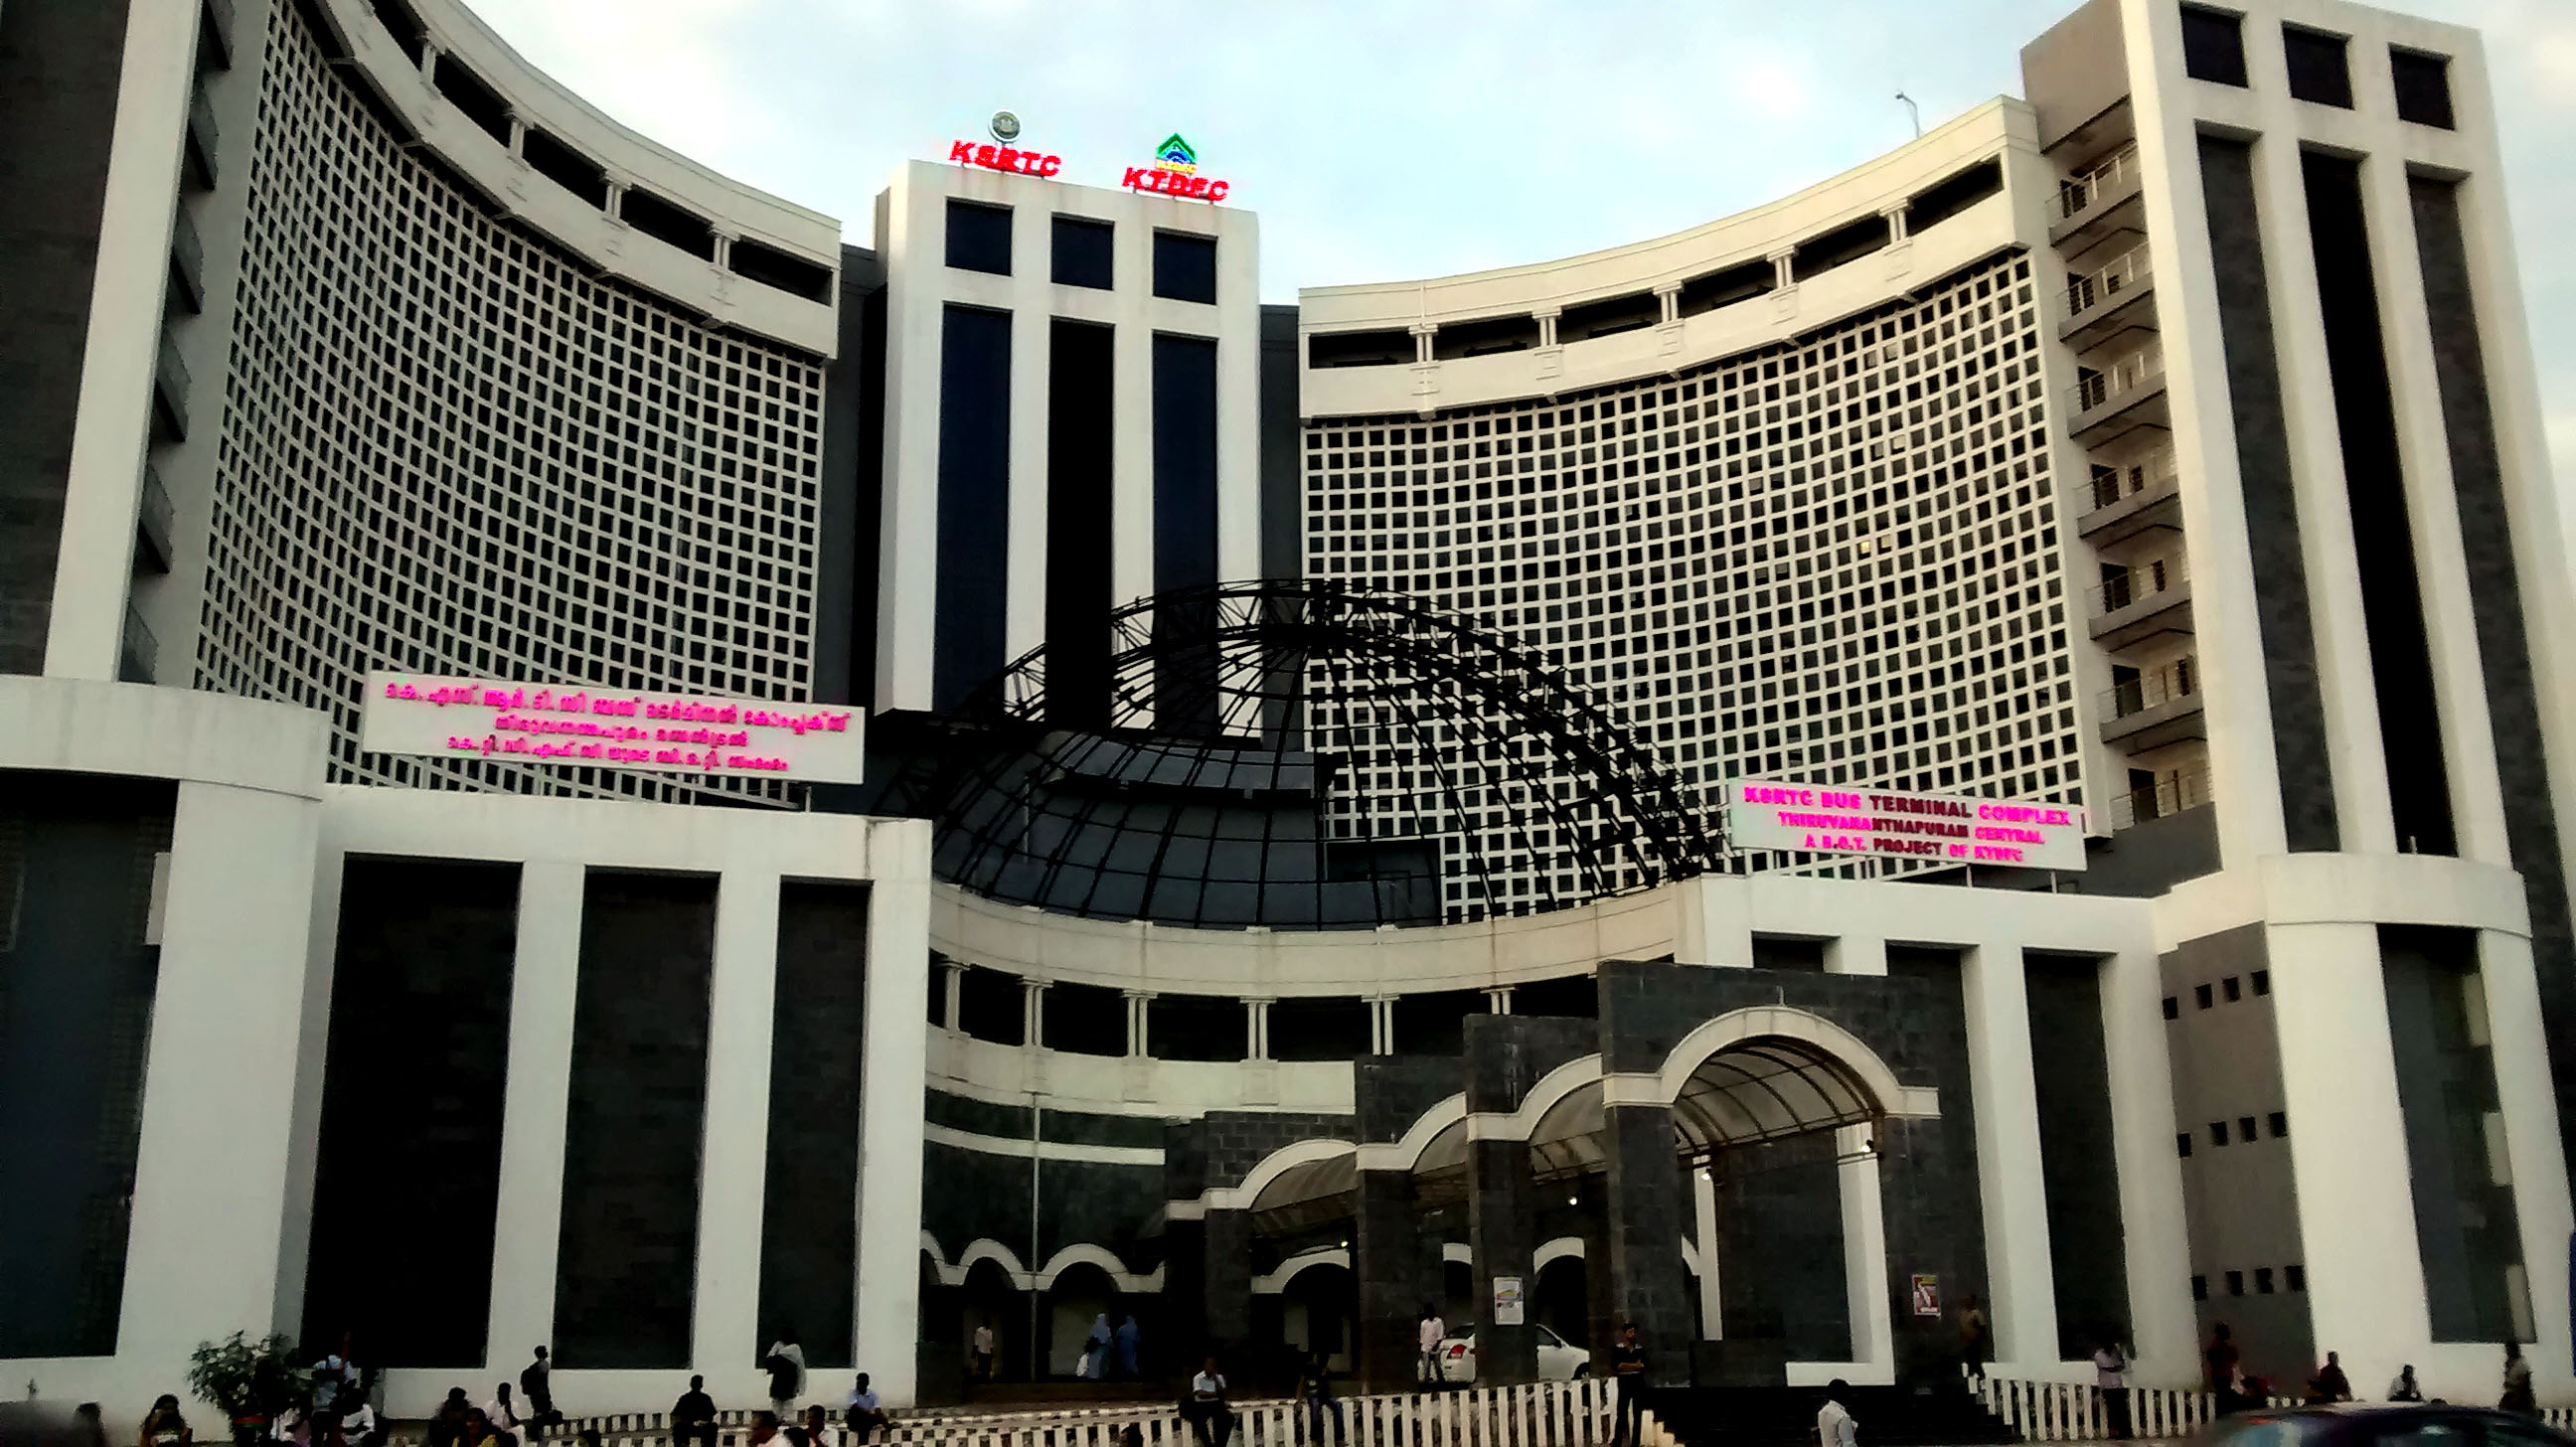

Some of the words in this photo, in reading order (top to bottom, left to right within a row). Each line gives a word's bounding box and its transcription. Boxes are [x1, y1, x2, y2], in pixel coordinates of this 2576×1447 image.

[945, 135, 1065, 188] KSRTC
[1117, 160, 1234, 210] KTDFC
[380, 676, 589, 719] കെ.എസ്.ആർ.ടി.സി
[442, 729, 607, 761] കെ.ടി.ഡി.എഫ്.സി
[490, 711, 653, 744] തിരുവനന്തപുരം
[585, 691, 649, 720] ബസ്
[601, 741, 655, 766] യുടെ
[639, 693, 740, 730] ടെർമിതൽ
[651, 721, 753, 750] സെൻട്രൽ
[736, 703, 858, 740] കോംപ്ലക്‌സ്
[1741, 778, 1816, 812] KSRTC
[1801, 830, 1872, 855] A.B.O.T.
[1818, 786, 1863, 817] BUS
[1774, 806, 1972, 840] THIRUVARANTHAPURAM
[1869, 832, 1944, 858] PROJECT
[1863, 788, 1976, 824] TERMINAL
[1943, 836, 1974, 860] OF
[1969, 840, 2025, 865] KTDFC
[1969, 822, 2048, 848] CENTRAL
[1975, 798, 2072, 832] COMPLEX